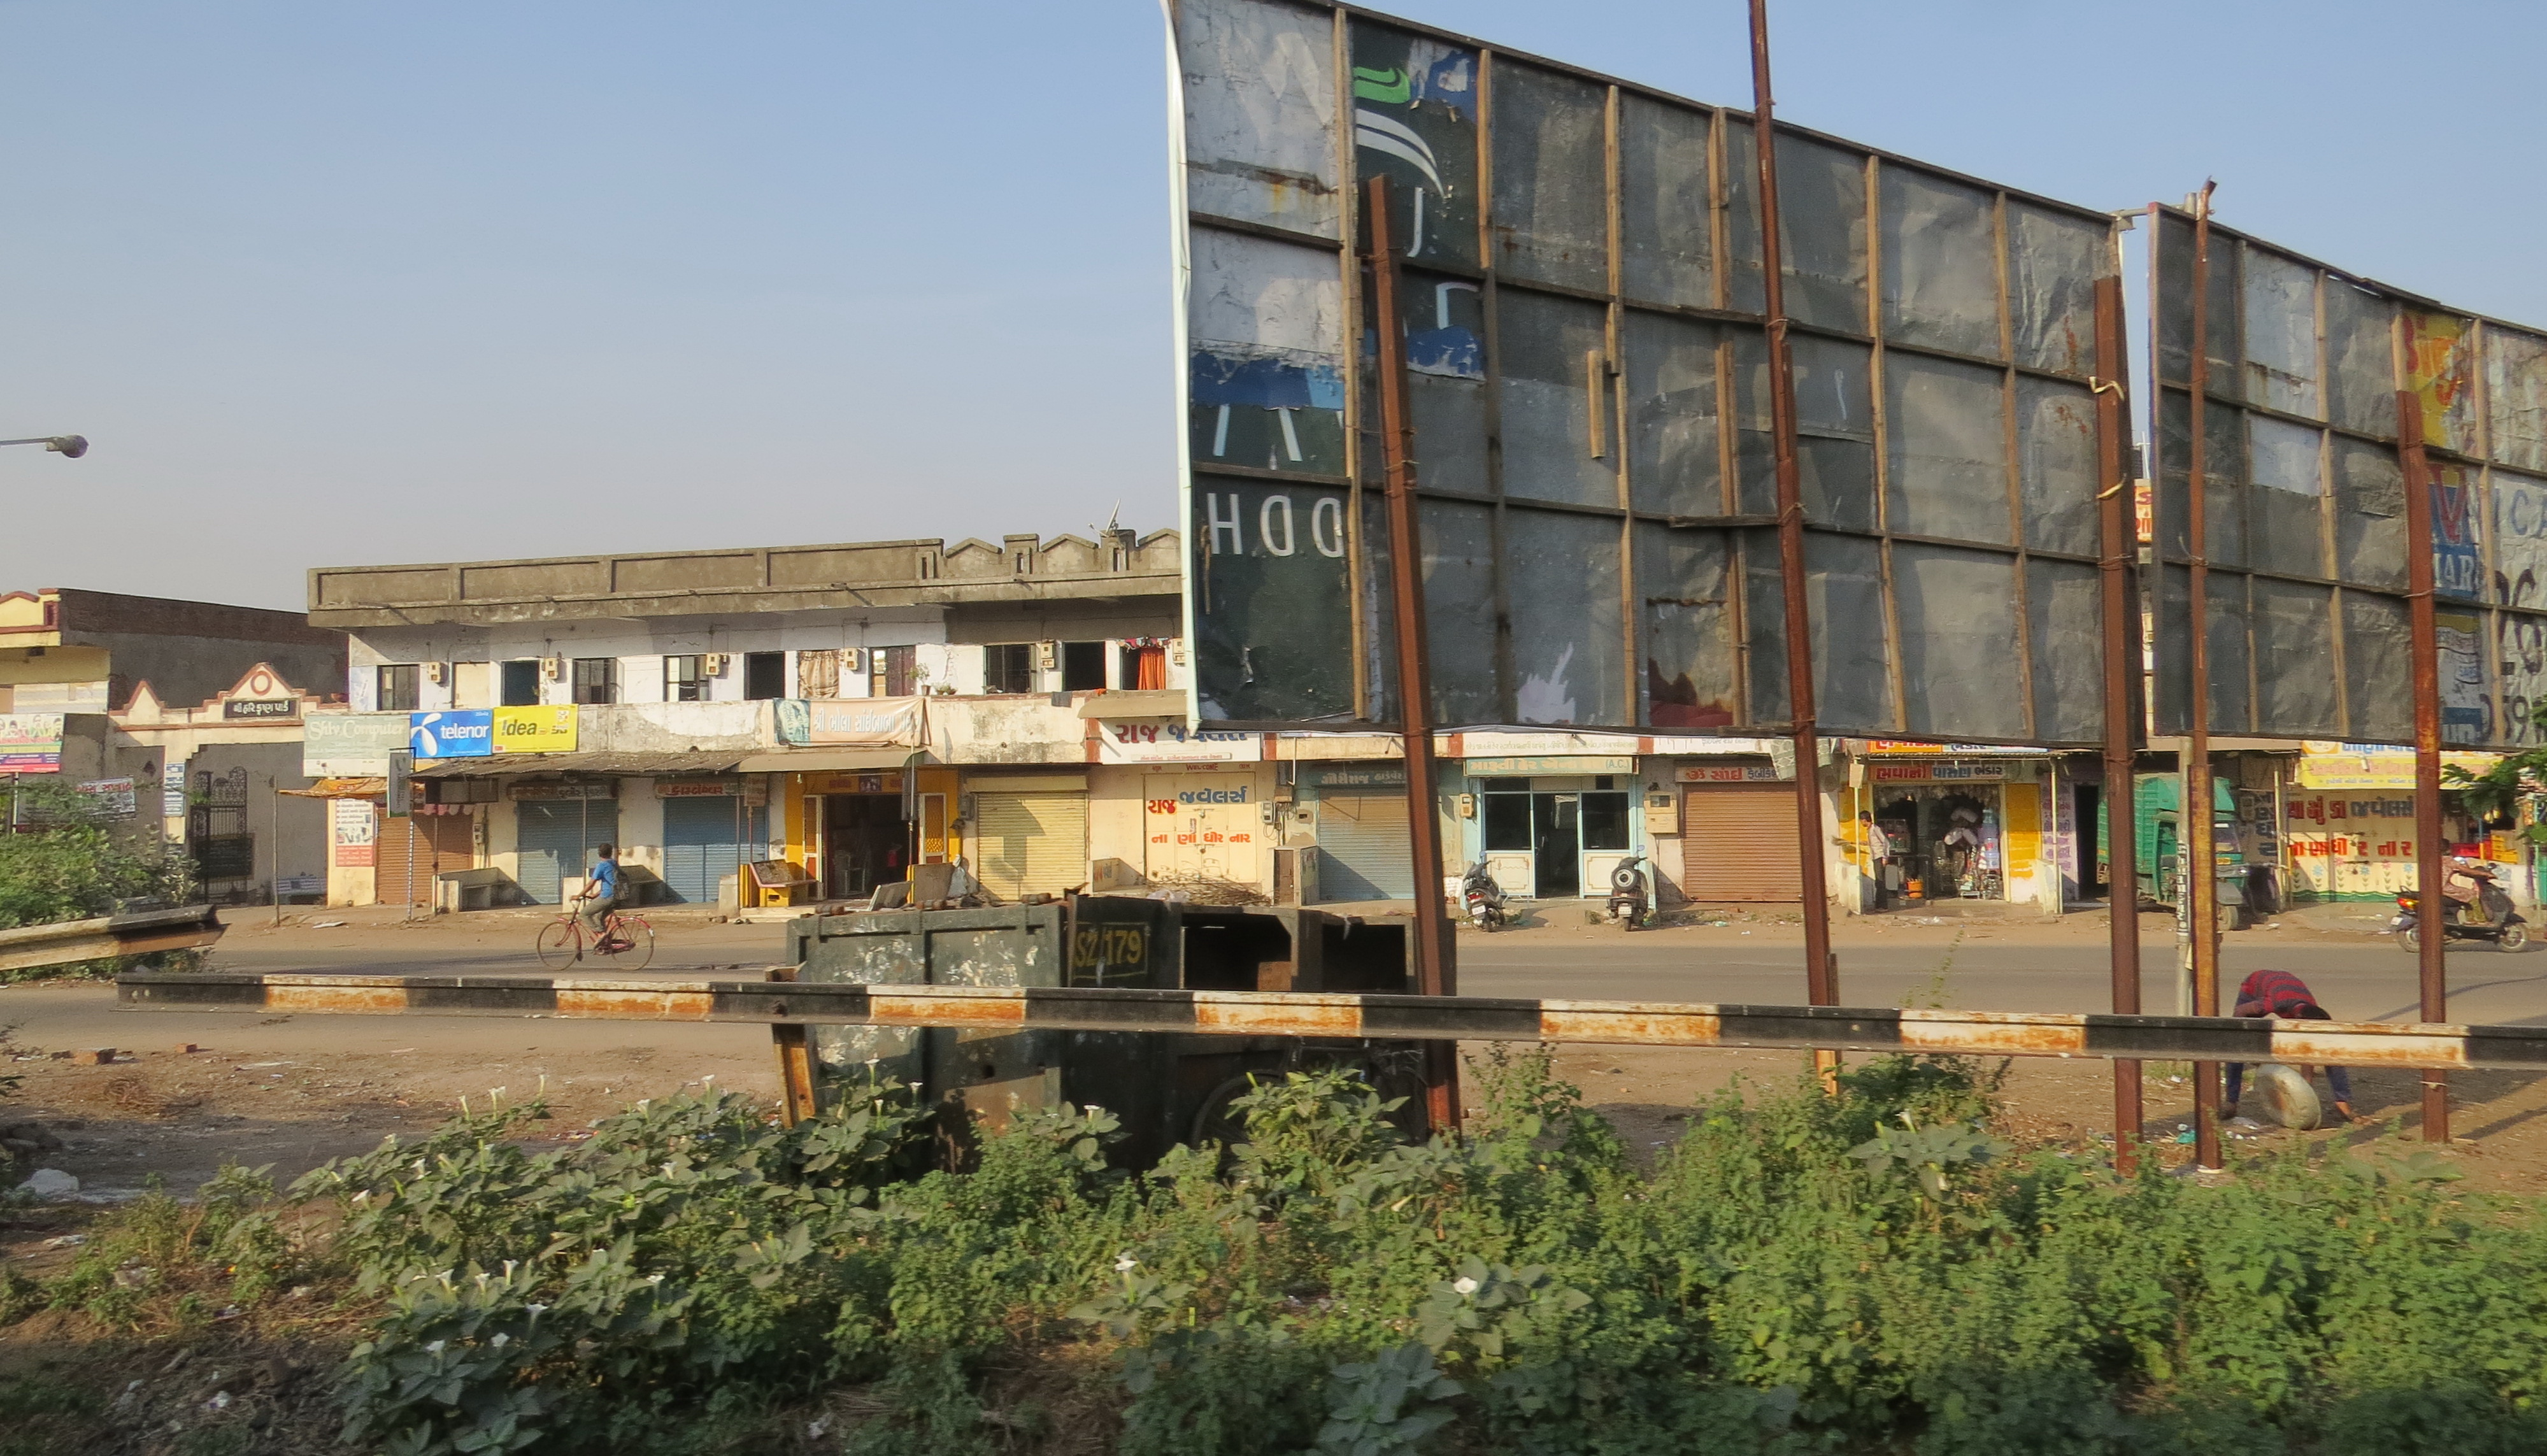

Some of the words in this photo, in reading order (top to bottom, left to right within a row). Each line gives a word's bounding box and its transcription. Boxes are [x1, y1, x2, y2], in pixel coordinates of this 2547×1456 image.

[1196, 483, 1349, 567] DDH
[436, 720, 492, 743] telenor
[496, 717, 541, 739] dea
[1107, 719, 1166, 748] રાજ
[1681, 762, 1708, 785] ૐ
[1708, 762, 1744, 787] સાંઈ
[1871, 764, 1930, 783] ભવાની
[1930, 764, 1973, 783] વાસણ
[1972, 762, 2006, 781] ભંડાર
[1144, 796, 1178, 817] રાજ
[1176, 782, 1251, 808] જવેલર્સ
[2286, 792, 2350, 831] ચા મું ડા
[2348, 792, 2416, 823] જવેલર્સ
[1148, 831, 1171, 849] ના
[1171, 829, 1199, 848] ણા
[1201, 825, 1229, 849] ધીર
[1225, 830, 1256, 849] નાર
[1075, 924, 1158, 982] SZ/179